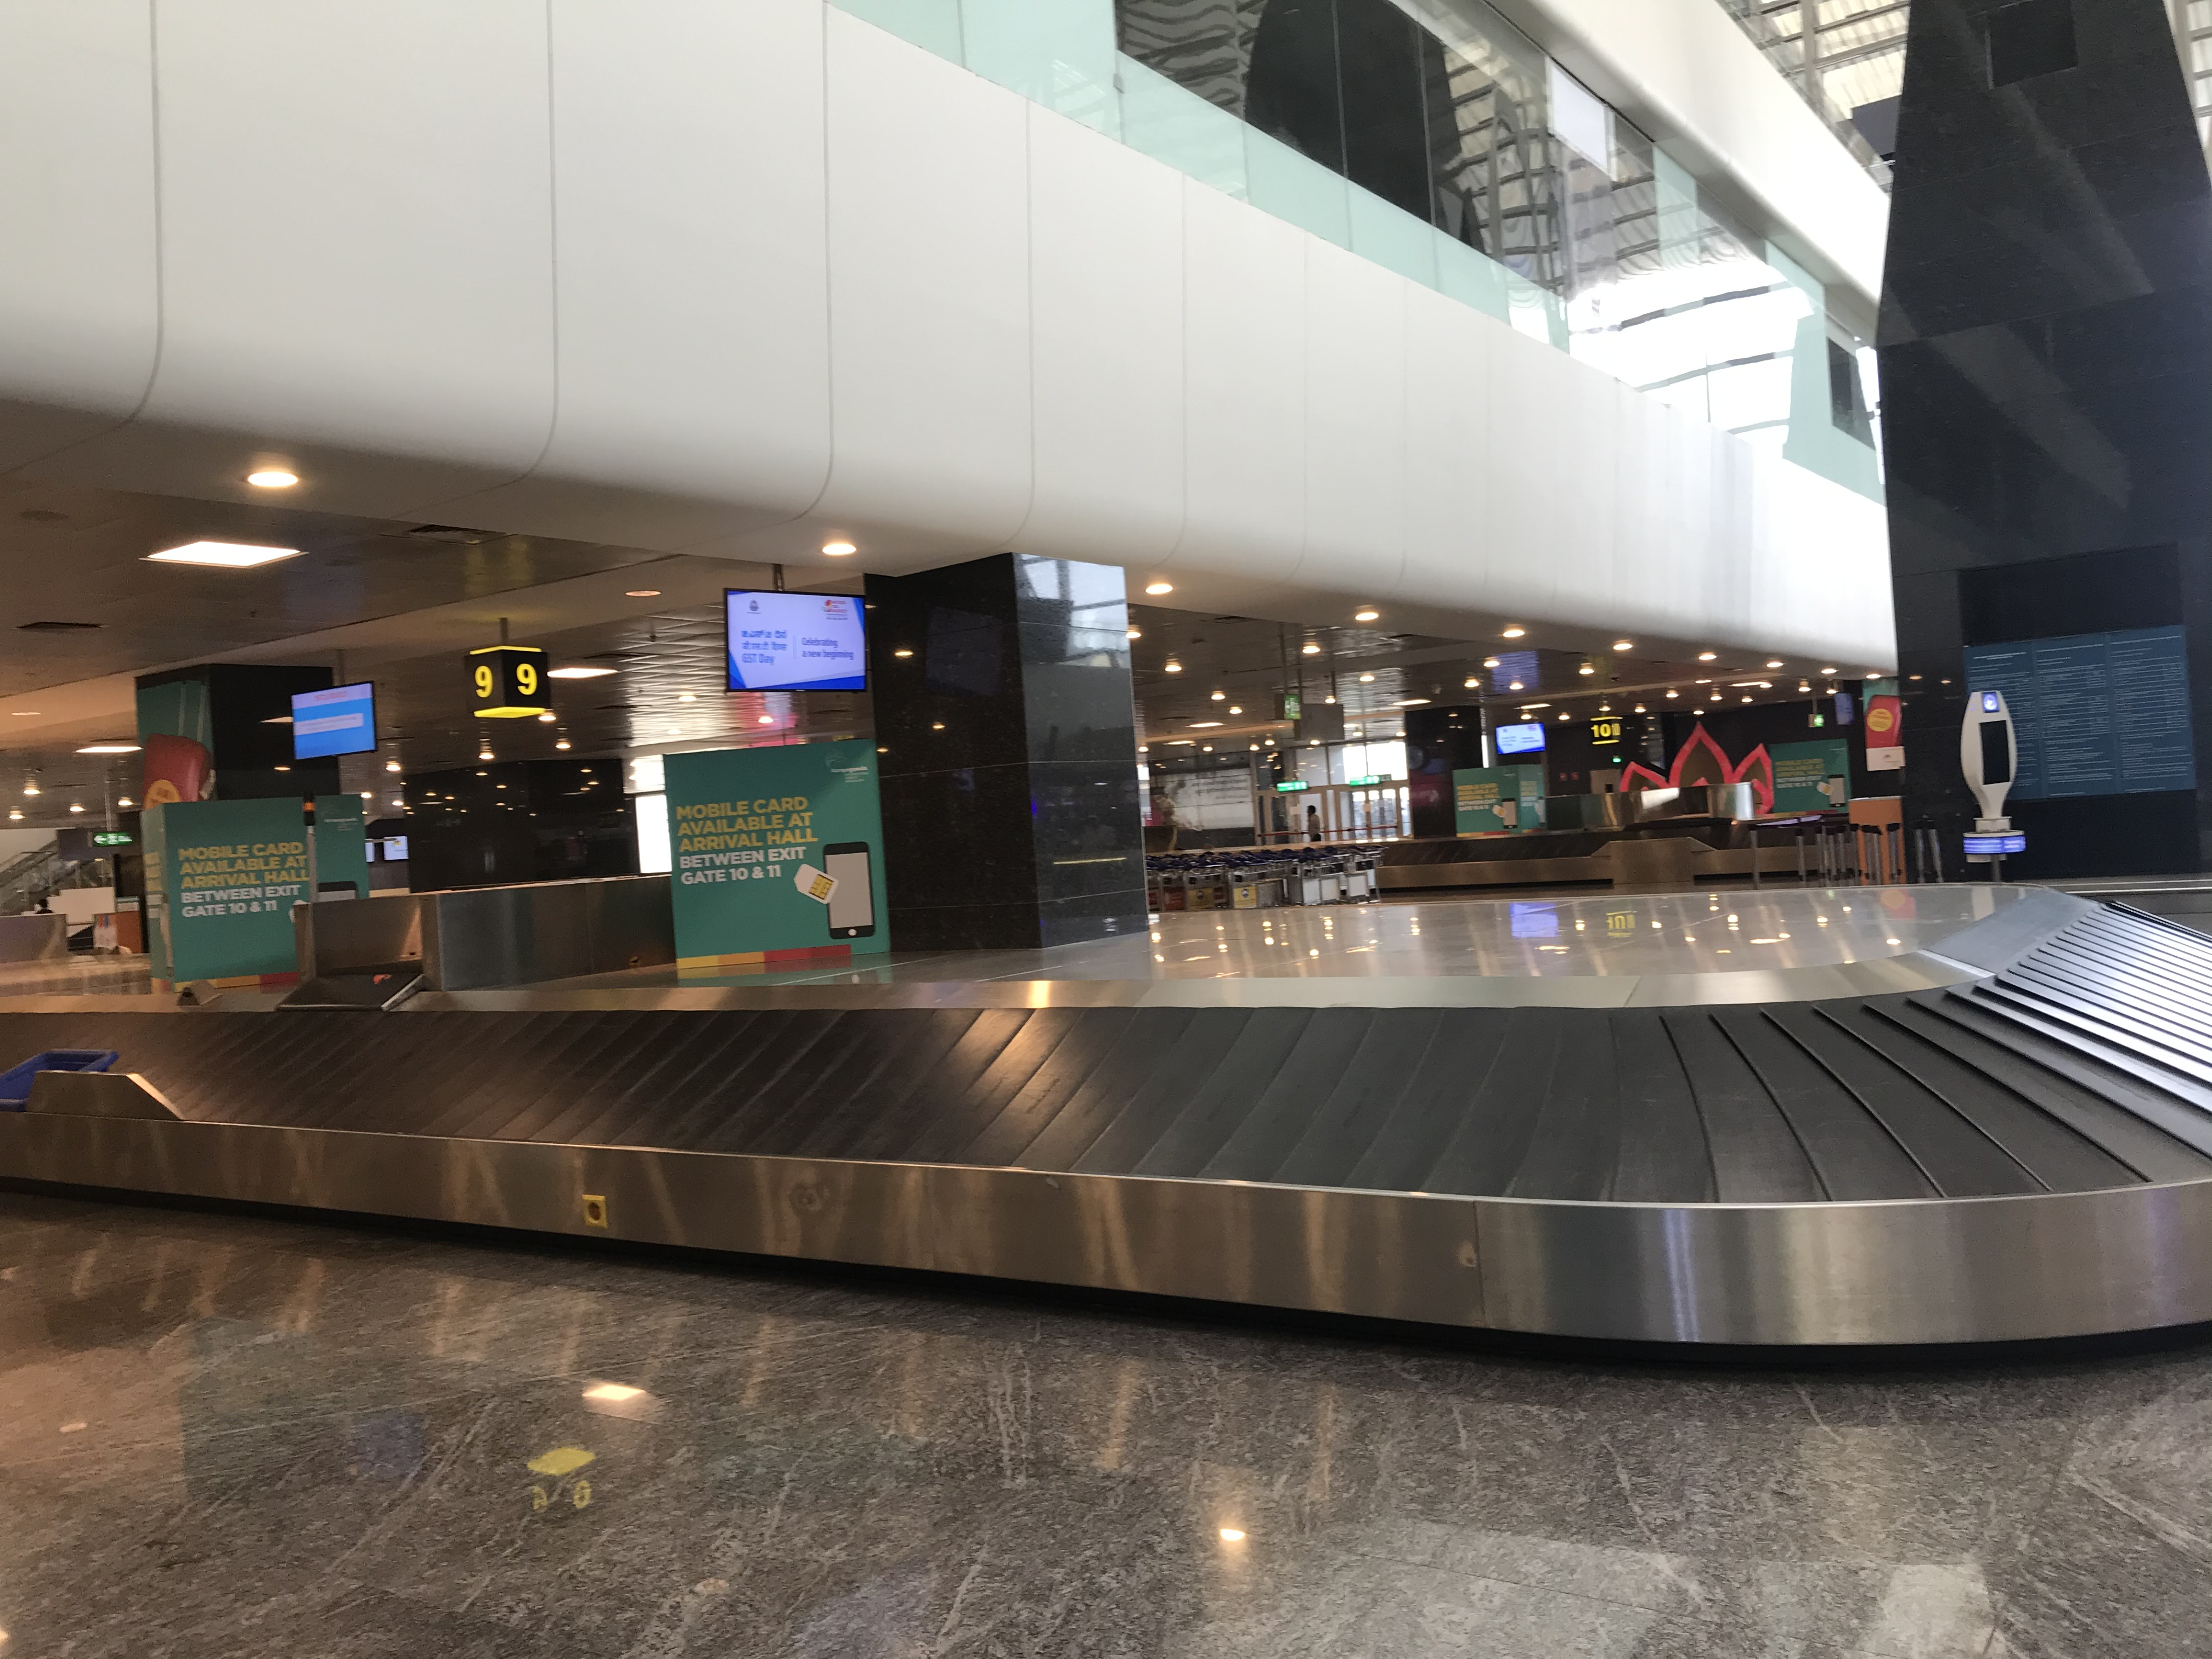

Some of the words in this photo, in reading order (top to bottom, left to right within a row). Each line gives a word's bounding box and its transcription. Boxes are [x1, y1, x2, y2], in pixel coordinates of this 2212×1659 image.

[740, 638, 772, 653] जे.एस.डे.
[738, 649, 778, 667] GST DAY
[798, 648, 823, 660] a new
[799, 632, 840, 649] Celebrating
[817, 647, 856, 663] beginning
[673, 797, 752, 822] MOBILE
[750, 793, 810, 816] CARD
[675, 811, 786, 839] AVAILABLE
[786, 810, 815, 830] AT
[174, 841, 252, 864] MOBILE
[180, 868, 262, 892] ARRIVAL
[176, 854, 284, 876] AVAILABLE
[251, 839, 308, 860] CARD
[262, 868, 313, 884] HALL
[283, 852, 309, 872] AT
[676, 867, 729, 888] GATE
[676, 830, 765, 854] ARRIVAL
[678, 847, 765, 872] BETWEEN
[728, 865, 750, 883] 10
[747, 862, 766, 882] &
[765, 861, 786, 881] 11
[764, 840, 809, 864] EXIT
[762, 825, 820, 848] HALL
[179, 885, 266, 905] BETWEEN
[261, 882, 302, 900] EXIT
[178, 901, 228, 920] GATE
[227, 899, 250, 917] 10
[246, 897, 278, 916] &11